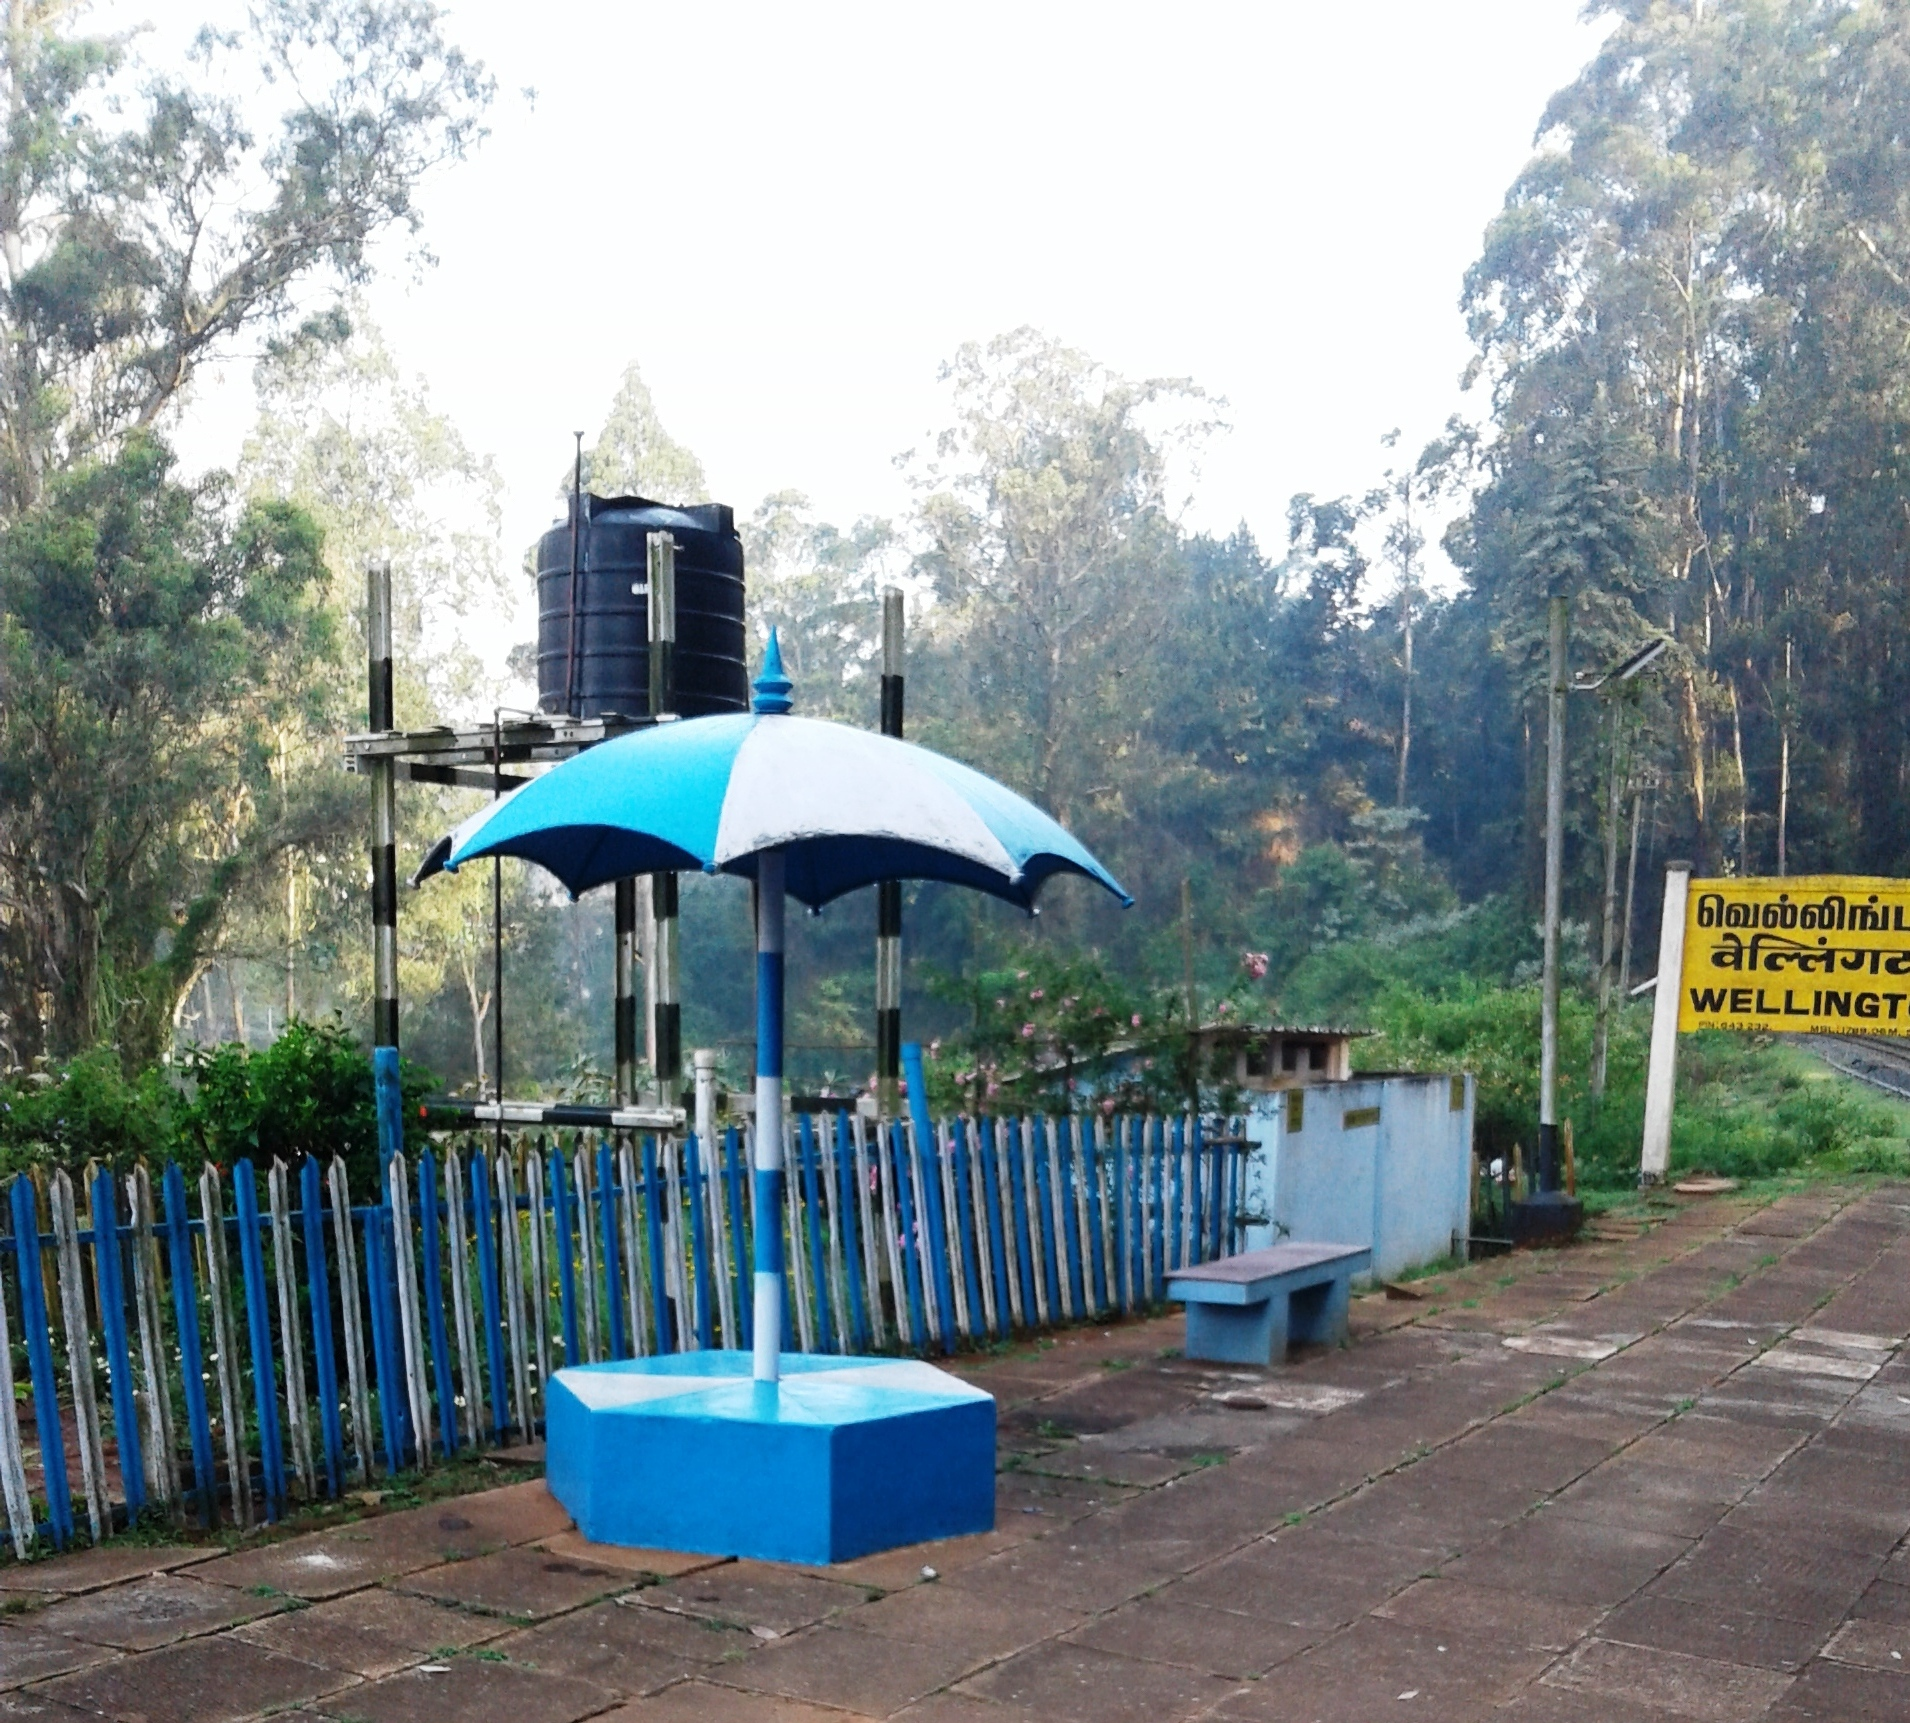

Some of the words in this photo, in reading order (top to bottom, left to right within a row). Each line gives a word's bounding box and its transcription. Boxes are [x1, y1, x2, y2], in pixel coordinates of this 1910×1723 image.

[1686, 879, 1909, 936] வெல்லிங்ட
[1705, 923, 1907, 981] वेल्लिंगट
[1680, 983, 1906, 1021] WELLINGT